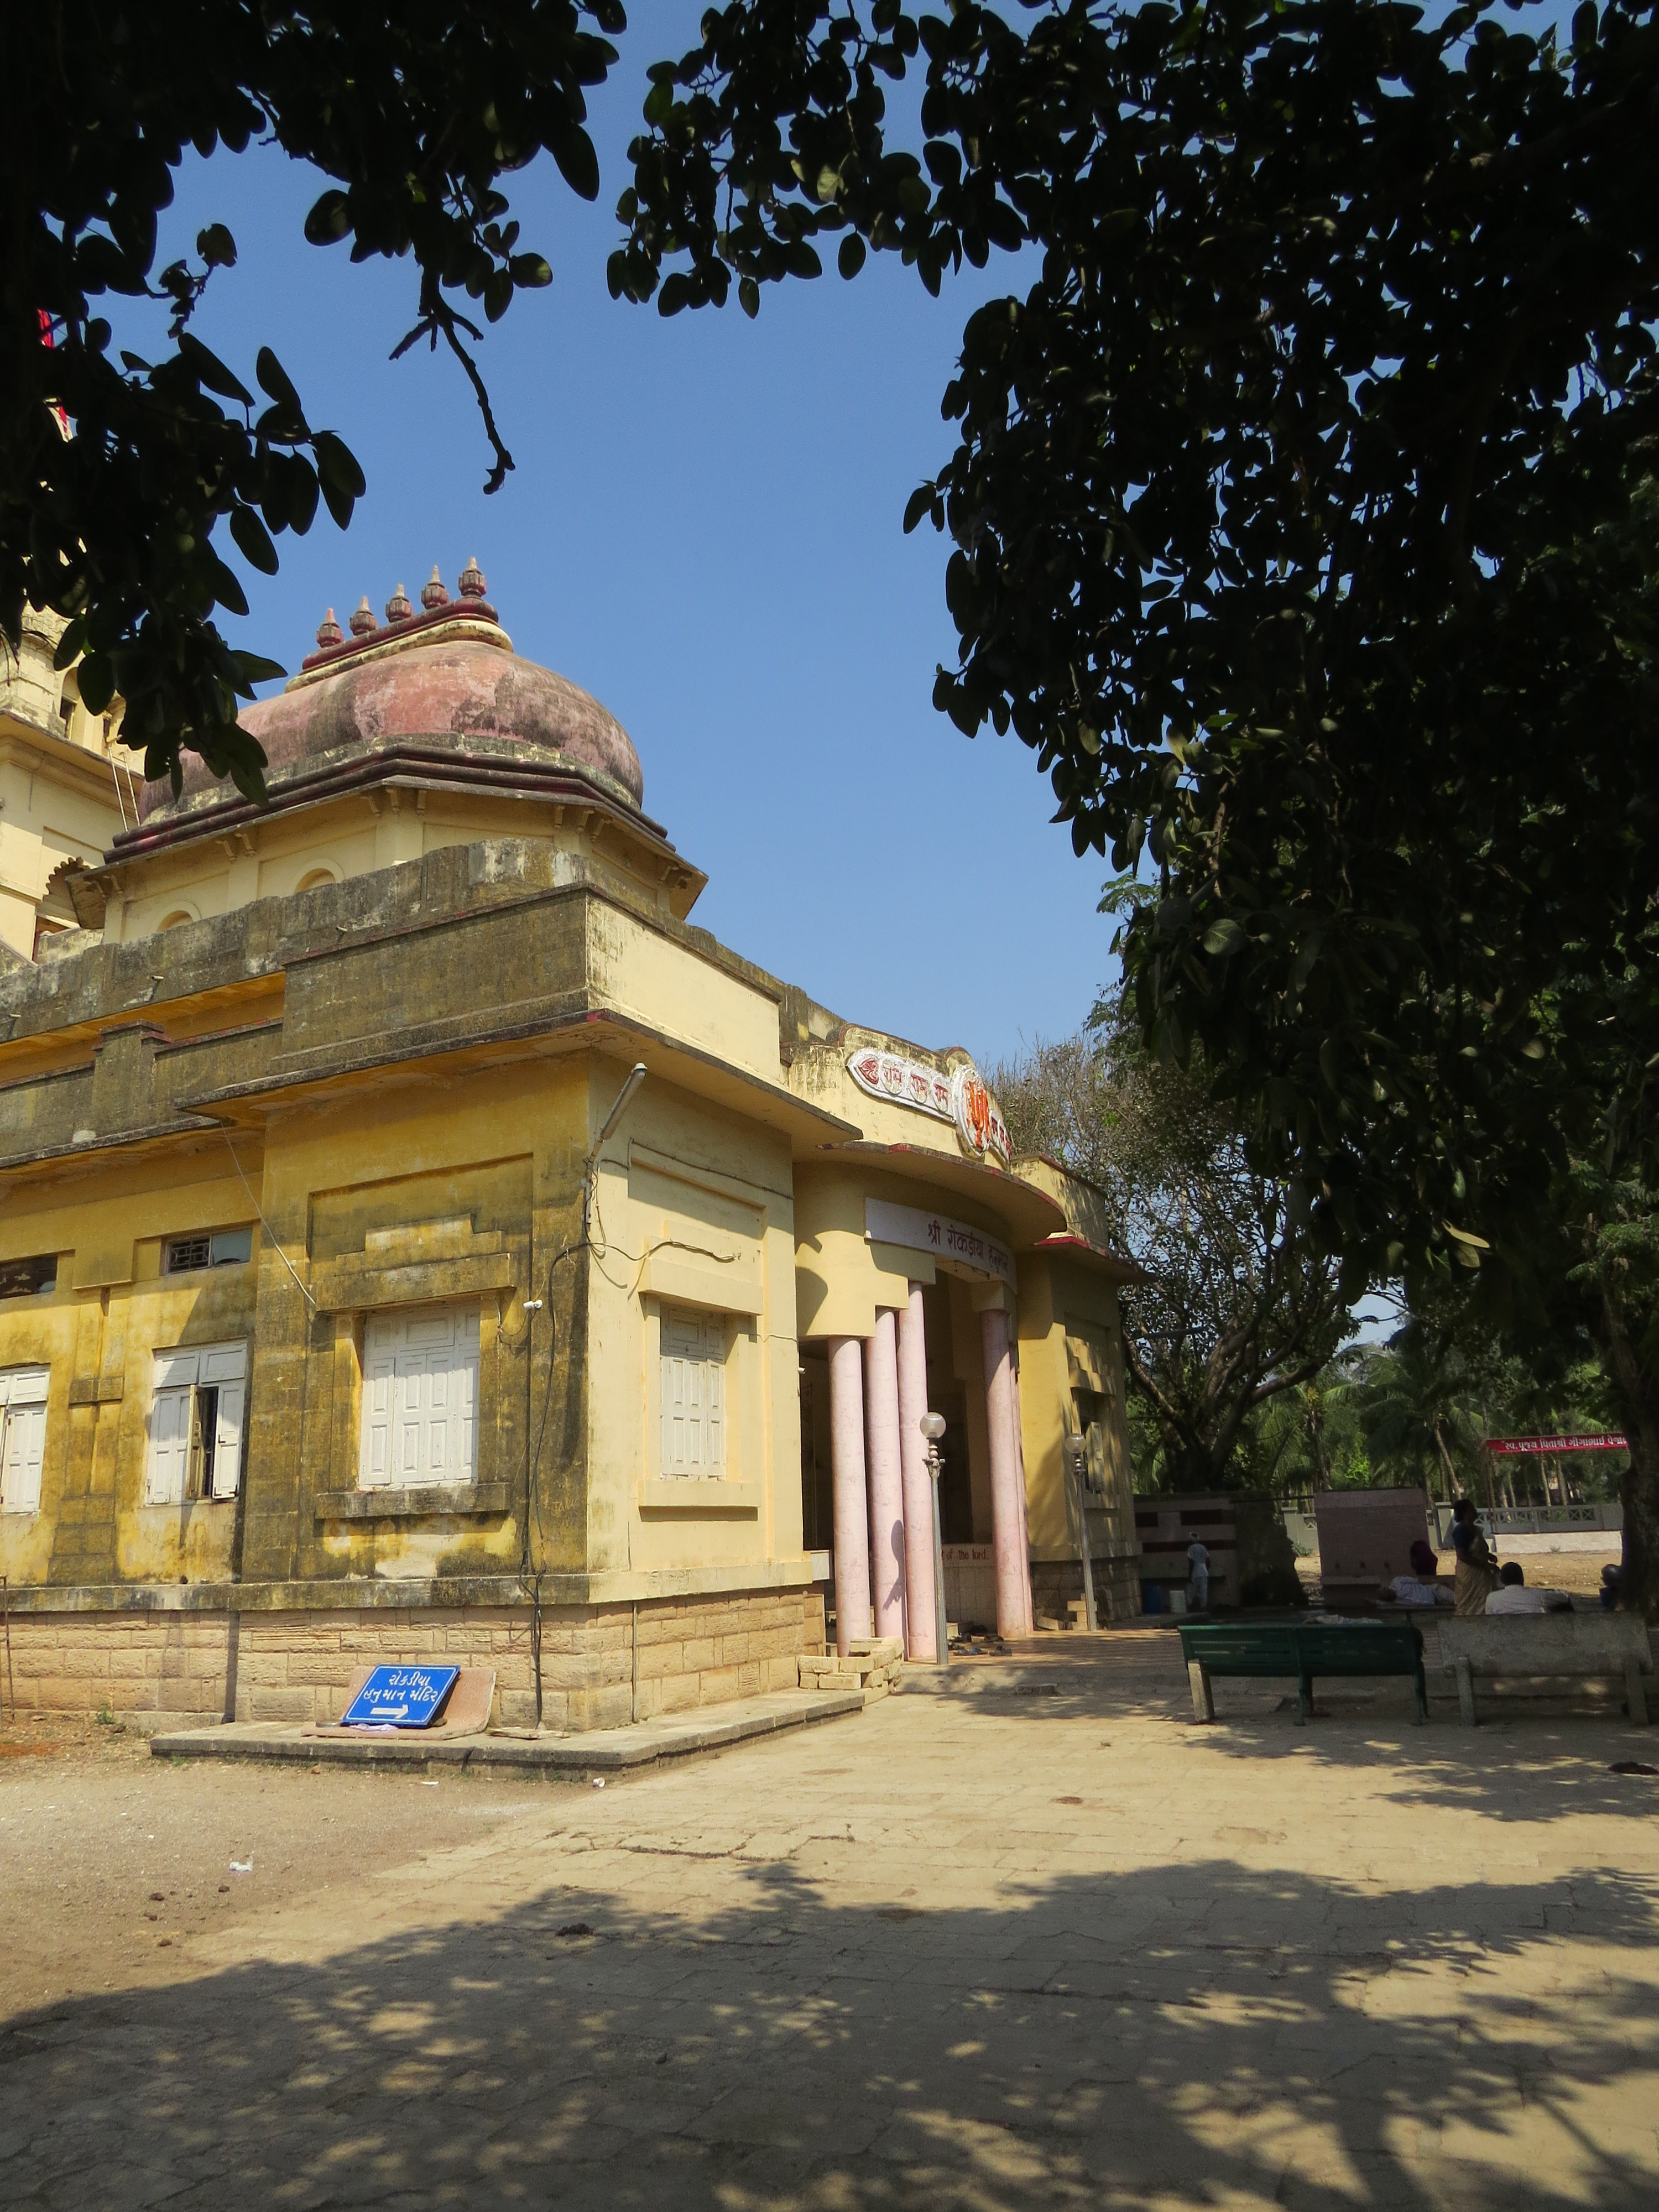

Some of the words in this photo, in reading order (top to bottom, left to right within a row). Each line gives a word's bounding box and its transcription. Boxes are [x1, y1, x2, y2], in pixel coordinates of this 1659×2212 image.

[926, 1214, 943, 1250] श्री
[947, 1222, 985, 1263] रोकड़ीया
[1504, 1441, 1519, 1453] સ્વ.
[1517, 1439, 1538, 1452] પૂજય
[1538, 1436, 1568, 1449] પિતાશ્રી
[1568, 1434, 1606, 1446] ગીગાભાઈ
[389, 1667, 433, 1687] રોકડીયા
[362, 1684, 410, 1703] હનુમાન
[408, 1684, 441, 1704] મંદિર